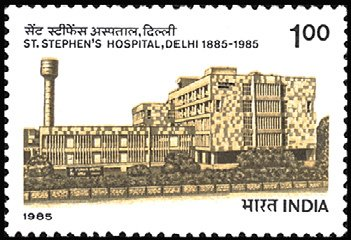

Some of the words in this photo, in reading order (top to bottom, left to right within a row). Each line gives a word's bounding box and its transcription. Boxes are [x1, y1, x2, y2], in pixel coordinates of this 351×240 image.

[21, 20, 47, 39] सेंट
[23, 35, 104, 51] ST.STEPHEN
[46, 17, 92, 41] स्टीफेंस
[87, 24, 141, 39] अस्पताल
[105, 36, 163, 51] HOSPITAL,
[138, 20, 179, 41] दिल्ली
[161, 35, 200, 54] DELHI
[200, 35, 263, 55] 1885-1985
[289, 21, 331, 49] 100
[239, 197, 281, 217] भारत
[282, 196, 333, 215] INDIA
[22, 210, 55, 224] 1985